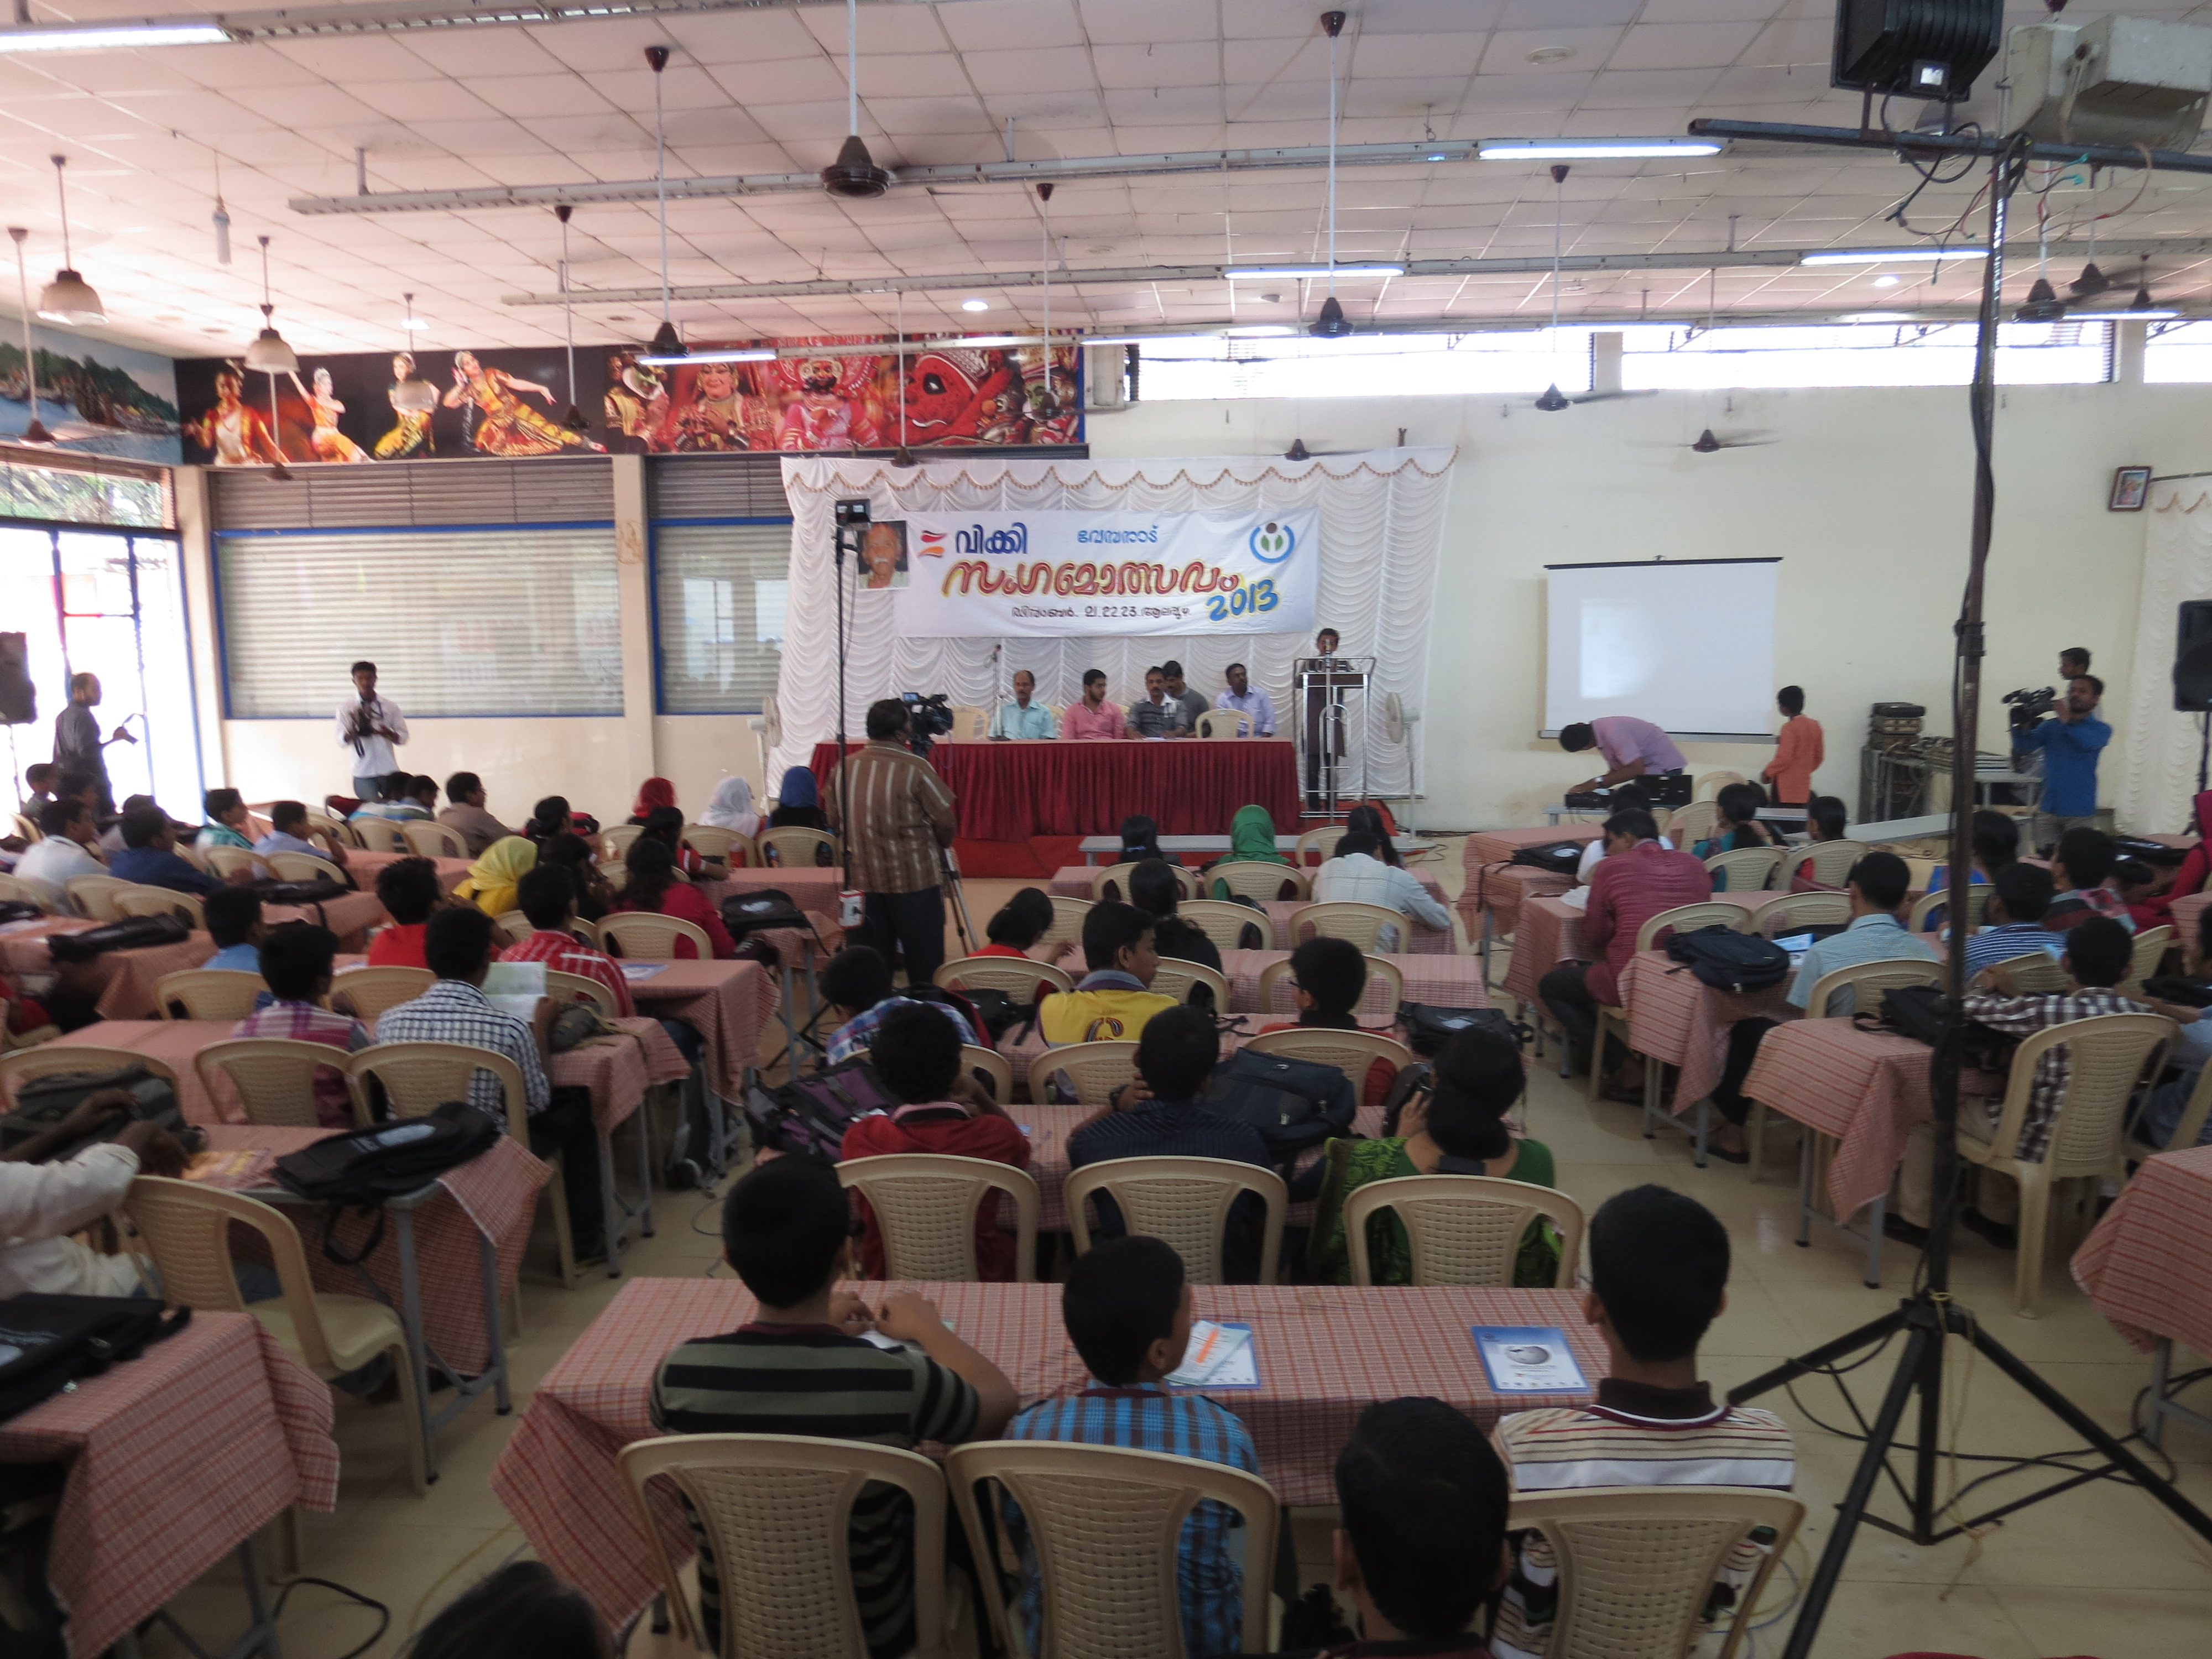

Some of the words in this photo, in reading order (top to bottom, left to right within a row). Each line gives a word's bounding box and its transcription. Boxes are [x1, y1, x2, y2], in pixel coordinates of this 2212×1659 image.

[952, 520, 1032, 557] വിക്കി
[1074, 521, 1161, 546] വേമ്പനാട്
[935, 554, 1240, 598] സംഗമോത്സവം
[1081, 603, 1140, 621] 21.22.23
[1202, 571, 1286, 629] 2013